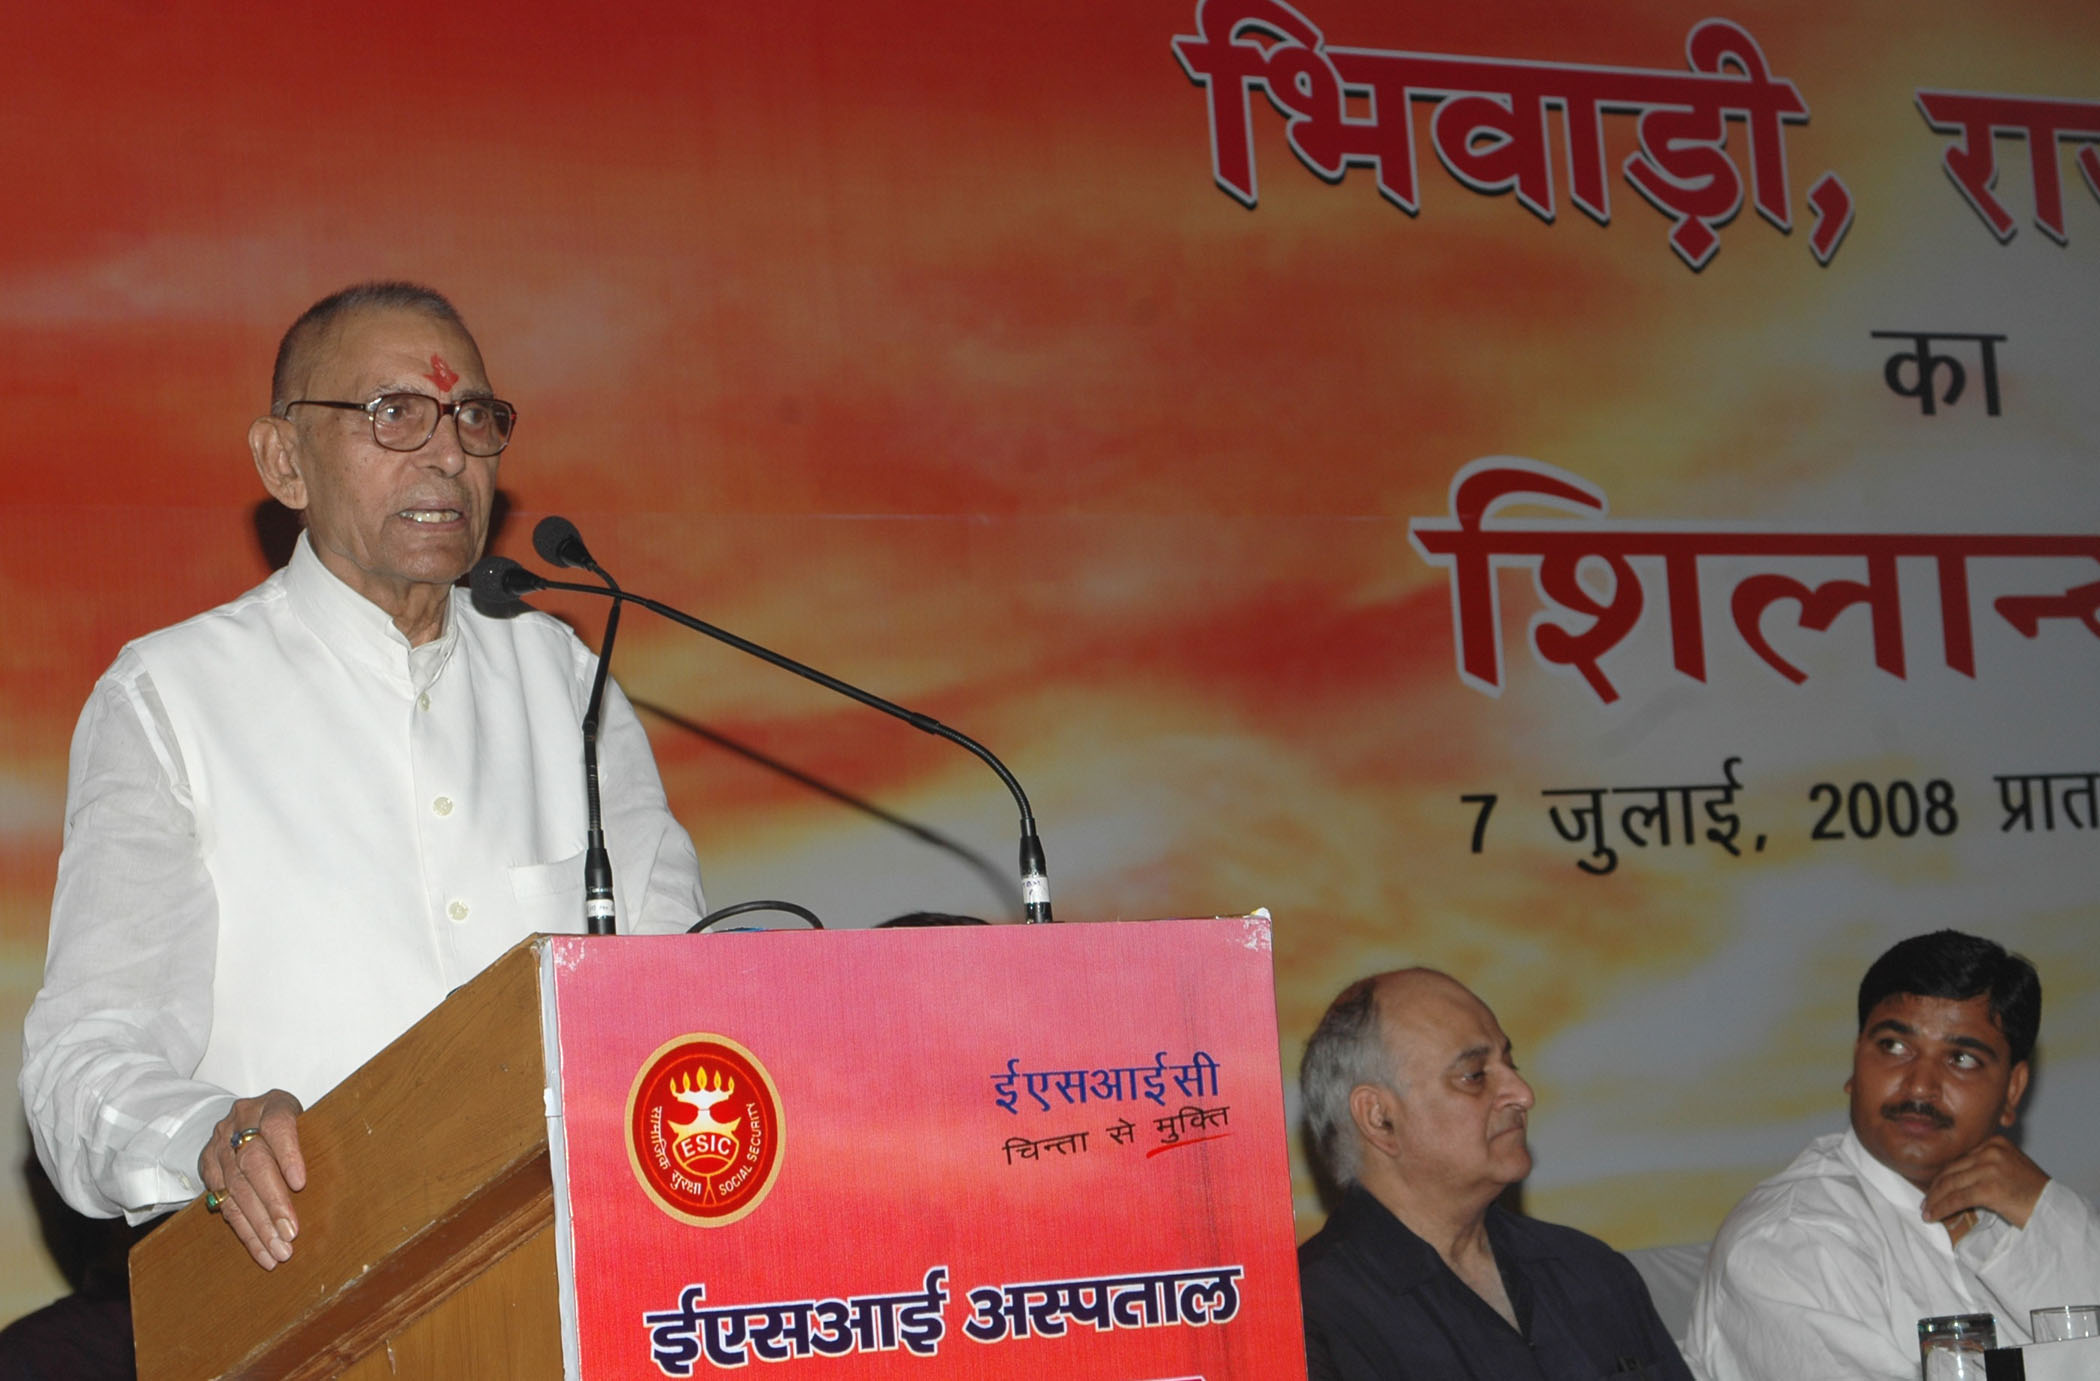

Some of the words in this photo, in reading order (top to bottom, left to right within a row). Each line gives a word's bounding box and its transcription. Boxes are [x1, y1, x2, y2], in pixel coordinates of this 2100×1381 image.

[1178, 0, 1852, 272] भिवाड़ी,
[1858, 313, 2018, 430] का
[1416, 454, 2100, 715] शिलान्
[1454, 789, 1505, 860] 7
[1539, 748, 1749, 880] जुलाई
[1803, 770, 1964, 849] 2008
[1994, 766, 2098, 839] प्रात
[989, 1043, 1225, 1117] ईएसआईसी
[645, 1101, 675, 1172] सामाजिक
[663, 1165, 706, 1201] सुरक्षा
[673, 1129, 739, 1163] ESIC
[715, 1160, 757, 1204] SOCIAL
[737, 1100, 768, 1166] SECURITY
[1001, 1126, 1089, 1169] चिन्ता
[1101, 1111, 1140, 1154] सॆ
[1153, 1105, 1230, 1145] मुक्ति
[641, 1259, 953, 1379] ईएसआई
[958, 1264, 1247, 1351] अस्पताल